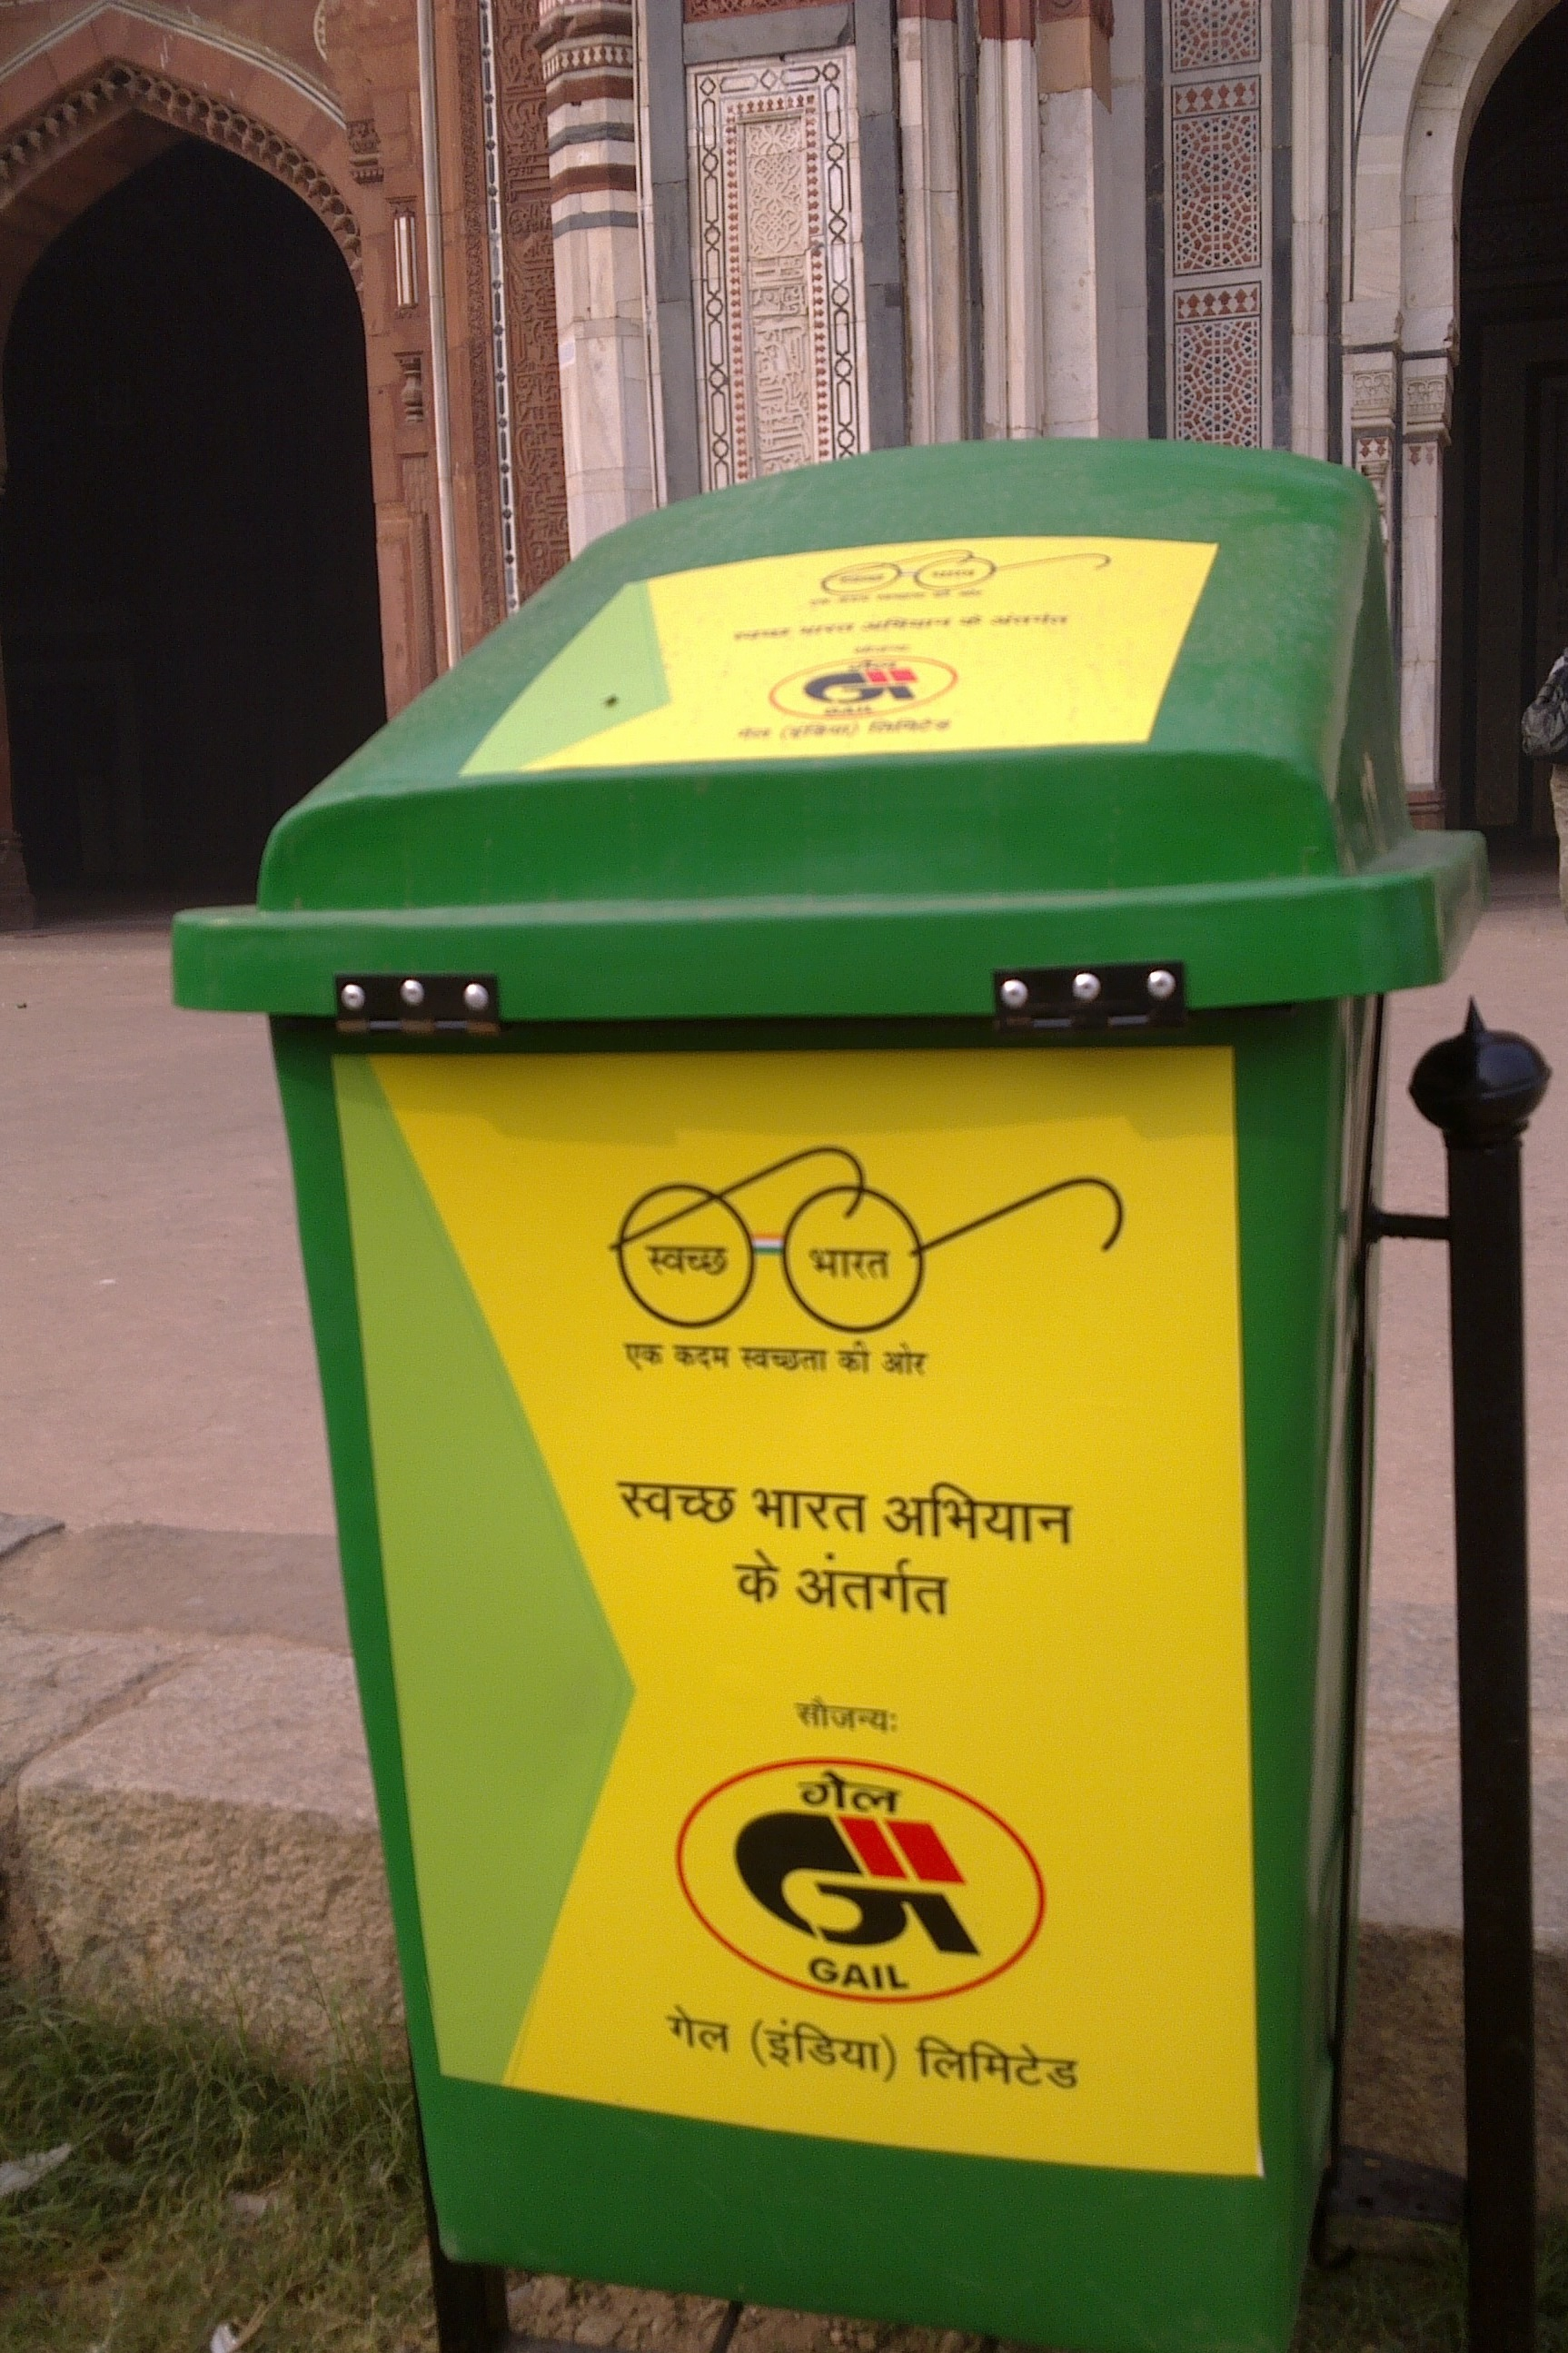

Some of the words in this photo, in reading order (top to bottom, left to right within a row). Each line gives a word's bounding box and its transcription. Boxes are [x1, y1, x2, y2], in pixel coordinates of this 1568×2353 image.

[861, 610, 955, 635] अभियान
[984, 604, 1071, 631] अंतर्गत
[867, 711, 956, 741] लिमिटेड
[644, 1240, 729, 1280] स्वच्छ
[803, 1238, 891, 1283] भारत
[605, 1332, 669, 1378] एक
[662, 1336, 733, 1376] कदम
[729, 1336, 835, 1383] स्वच्छता
[832, 1335, 874, 1379] कीे
[876, 1340, 931, 1383] ओर
[610, 1473, 739, 1534] स्वच्छ
[748, 1484, 867, 1538] भारत
[882, 1475, 1075, 1548] अभियान
[730, 1540, 782, 1608] केे
[793, 1548, 950, 1618] अंतर्गत
[789, 1695, 901, 1735] सौजन्यः
[795, 1763, 901, 1819] गेल
[799, 1950, 906, 2001] GAIL
[654, 1998, 737, 2063] गेल
[741, 2009, 897, 2089] (इंडिया)
[907, 2027, 1084, 2098] लिमिटेड